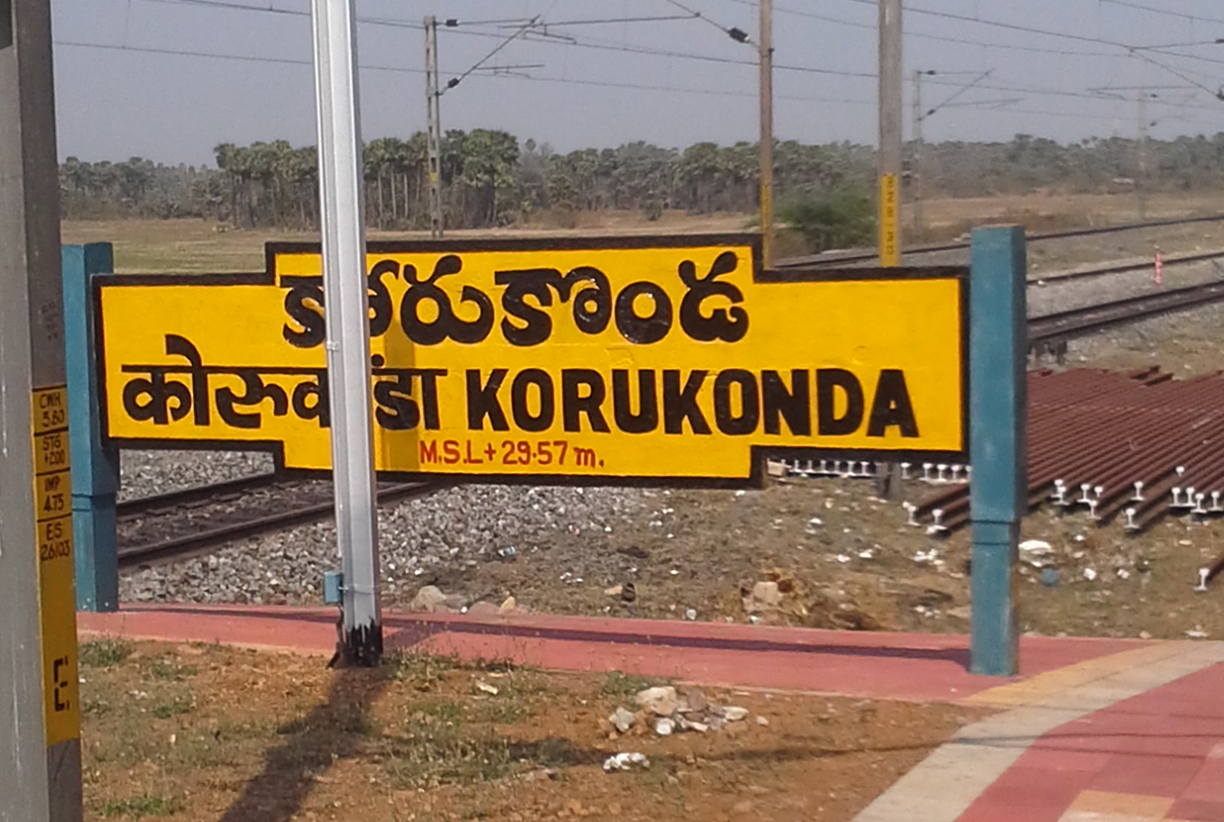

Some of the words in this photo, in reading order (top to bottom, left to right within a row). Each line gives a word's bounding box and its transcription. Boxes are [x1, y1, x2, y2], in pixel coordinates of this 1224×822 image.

[277, 244, 750, 354] కారుకొండ
[116, 327, 453, 432] कोरुकोंडा
[417, 430, 612, 474] M.S.L+29.57m.
[464, 360, 924, 443] KORUKONDA